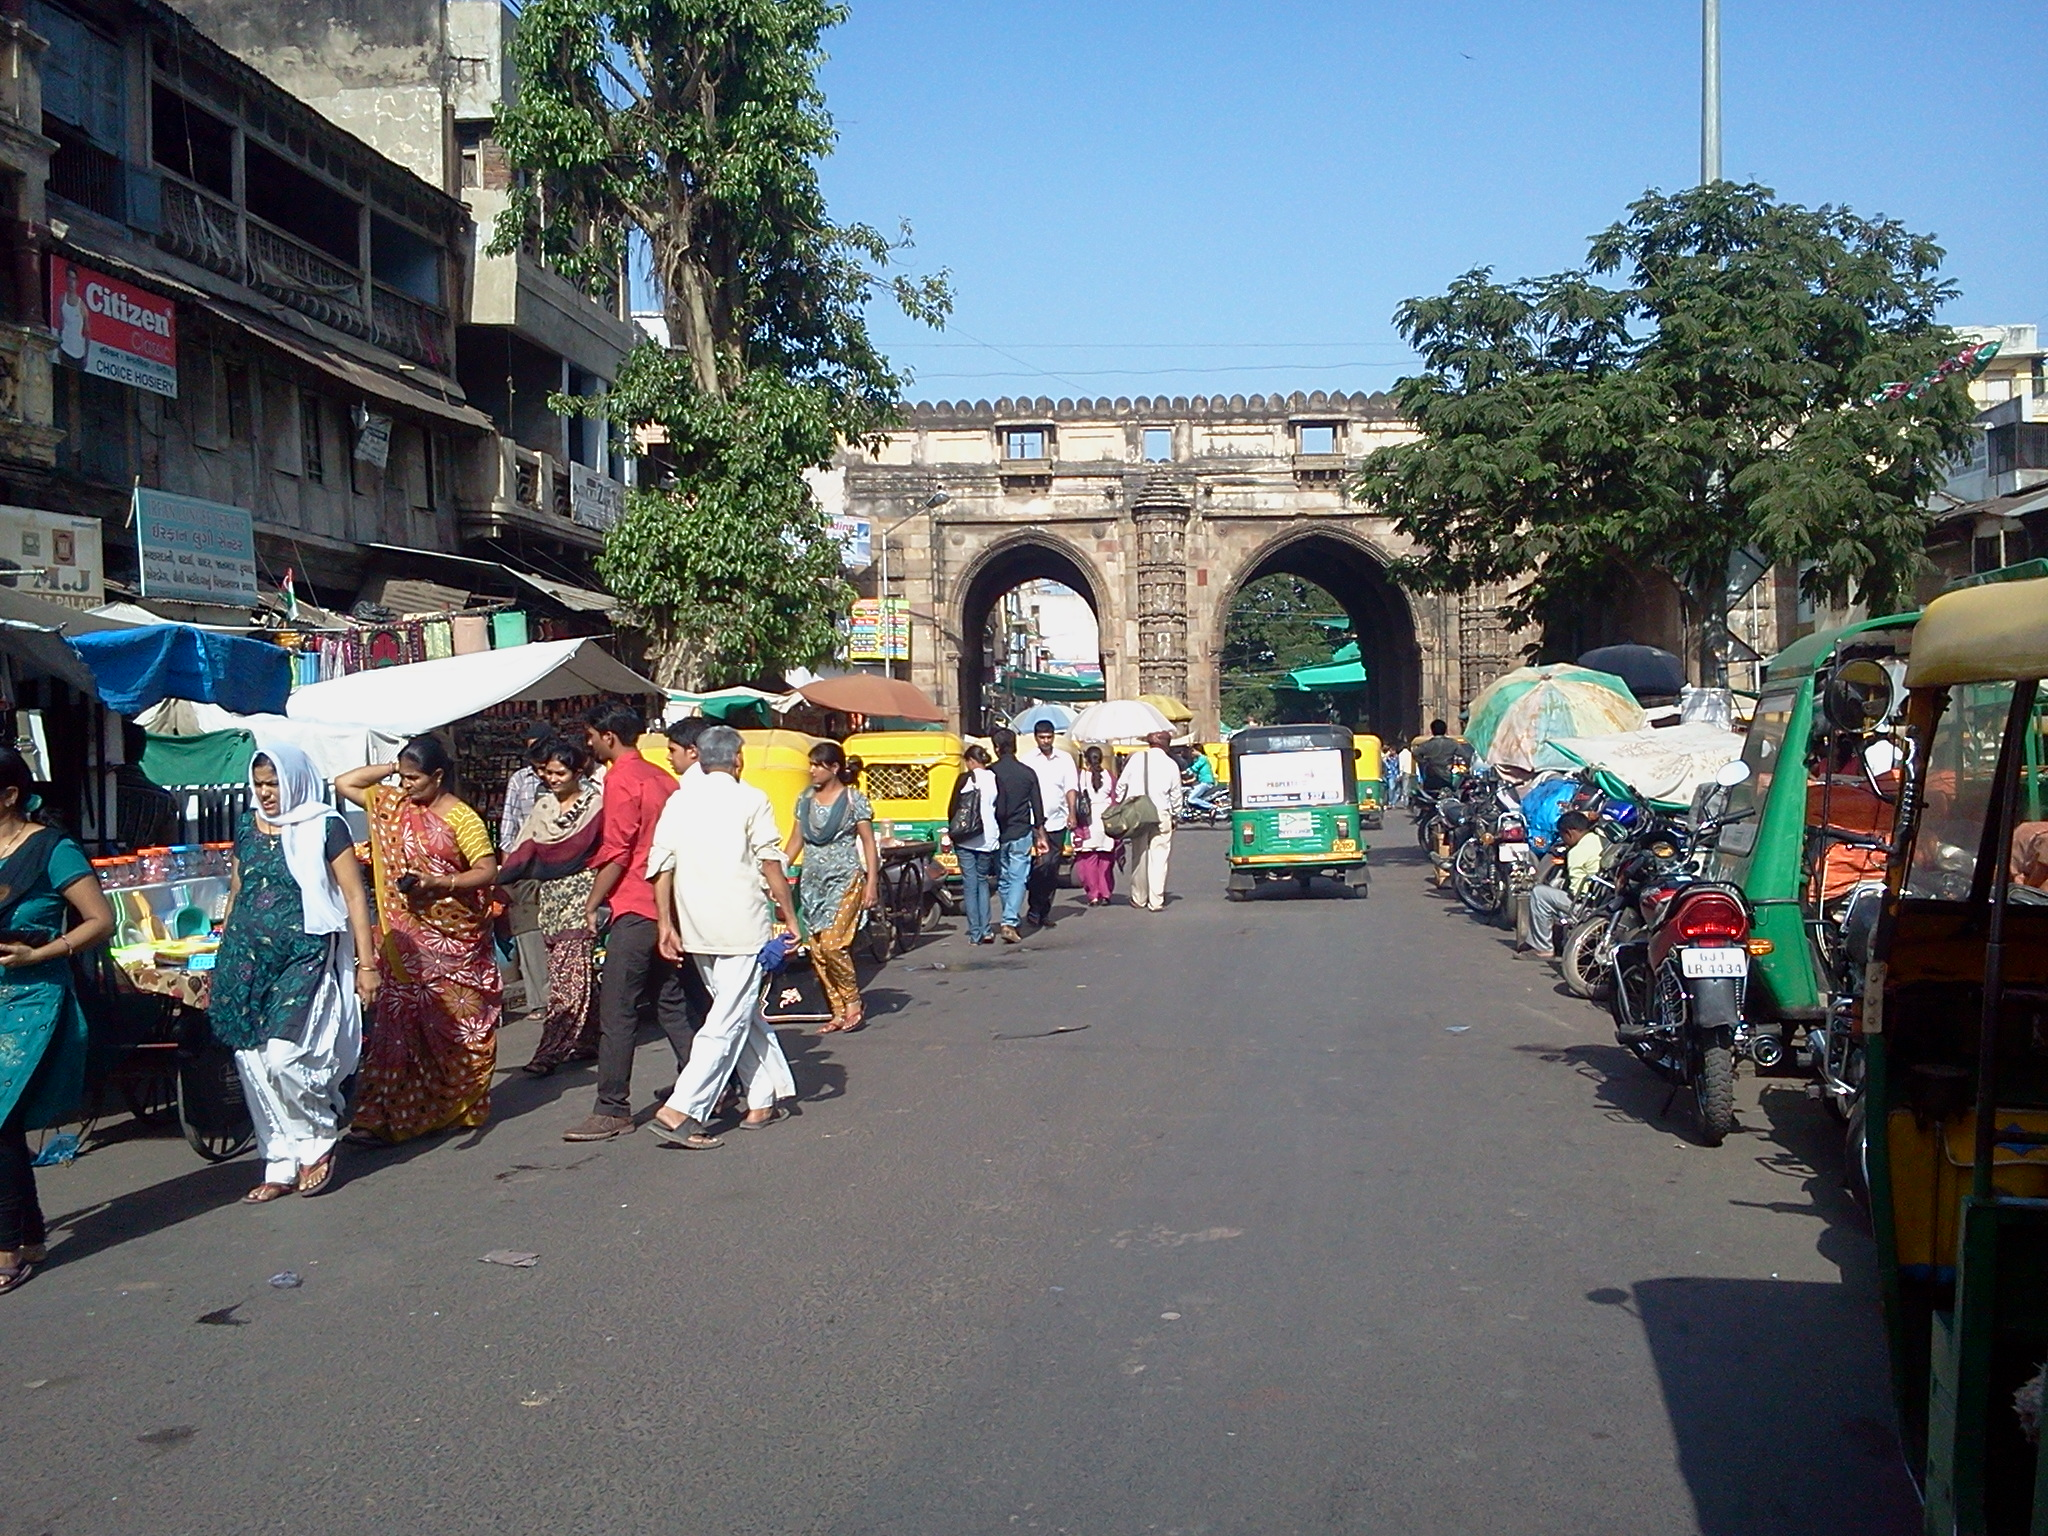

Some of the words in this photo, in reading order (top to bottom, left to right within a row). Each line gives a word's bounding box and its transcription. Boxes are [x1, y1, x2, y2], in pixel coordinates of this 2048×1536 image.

[78, 274, 176, 342] Citizen